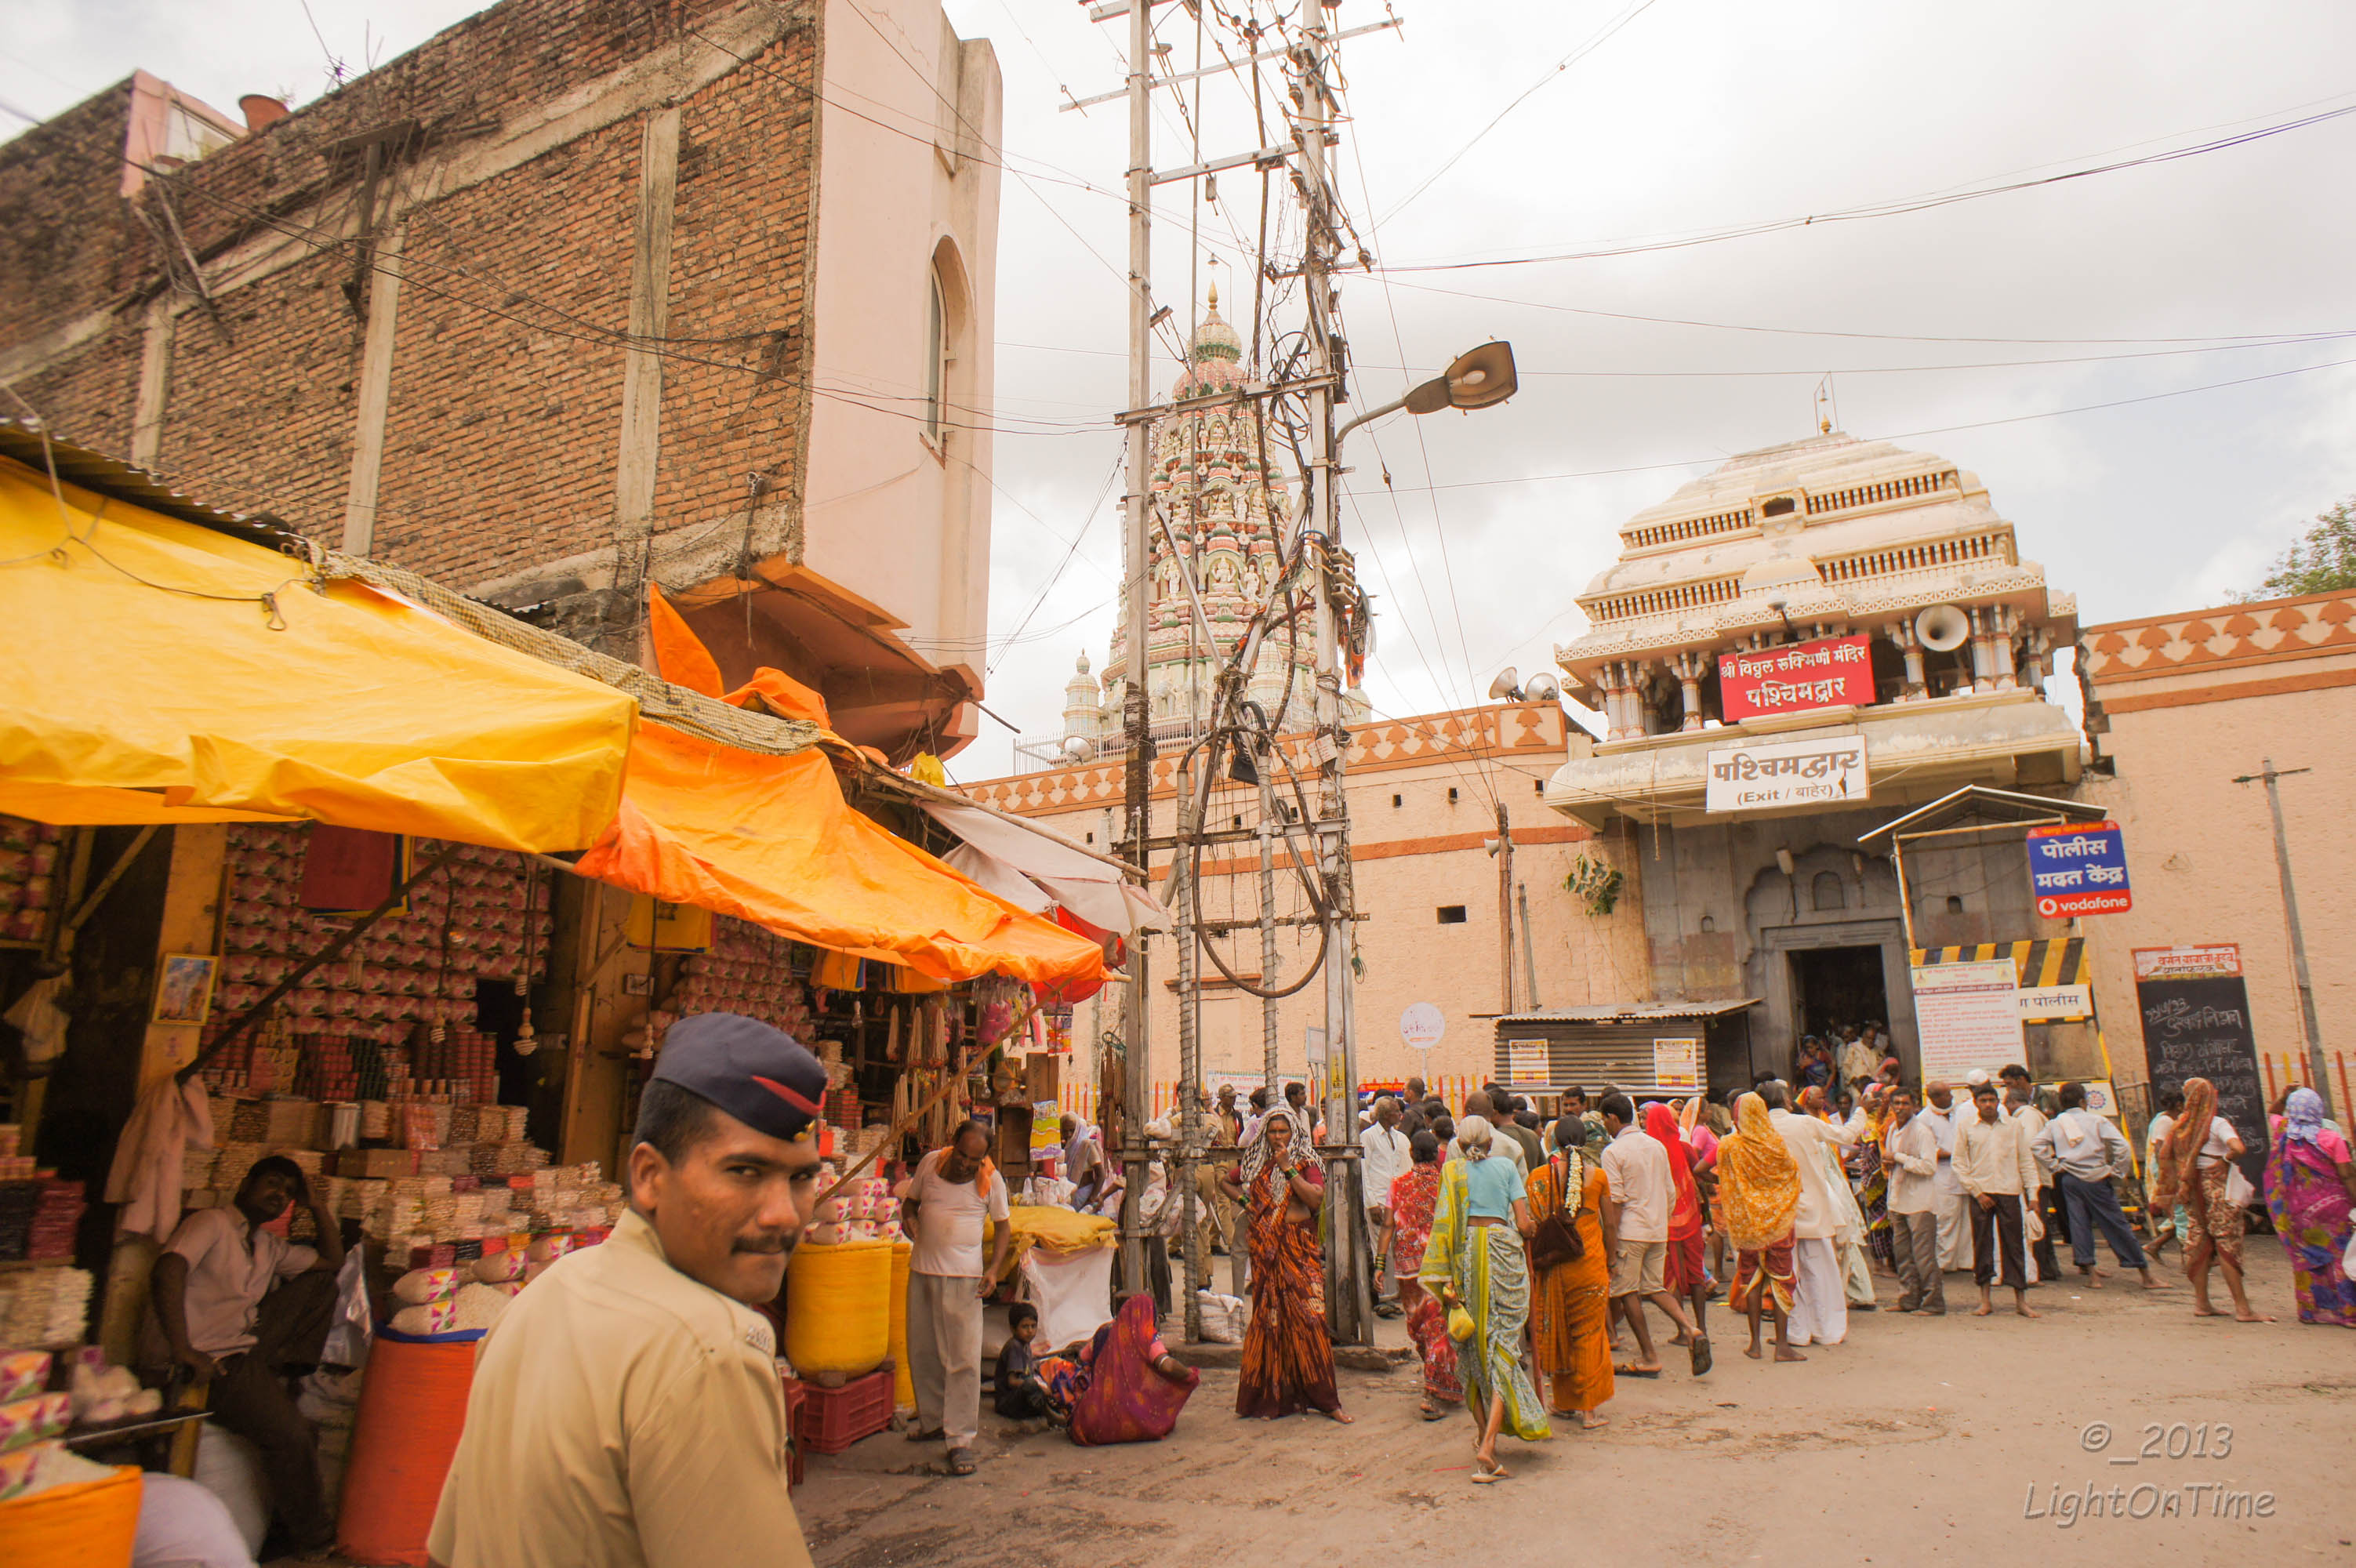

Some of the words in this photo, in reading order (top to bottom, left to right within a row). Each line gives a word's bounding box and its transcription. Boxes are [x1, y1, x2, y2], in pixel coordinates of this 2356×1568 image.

[1715, 657, 1740, 681] श्री
[1733, 653, 1778, 682] विठ्ठल
[1773, 644, 1834, 673] रूक्मिणी
[1828, 639, 1870, 667] मंदिर
[1745, 675, 1850, 713] पश्चिमद्वार
[1712, 746, 1862, 786] पश्चिमद्वार
[1739, 788, 1784, 807] Exit
[1792, 777, 1833, 800] बाहेर)
[2034, 829, 2116, 865] पोलीस
[2031, 868, 2088, 891] मदत
[2077, 858, 2127, 888] केंद्र
[2058, 891, 2133, 914] vodafone
[2155, 950, 2187, 968] वर्सन
[2075, 1416, 2240, 1466] ©_2013
[2020, 1478, 2181, 1534] LightOn
[2180, 1475, 2282, 1523] Time